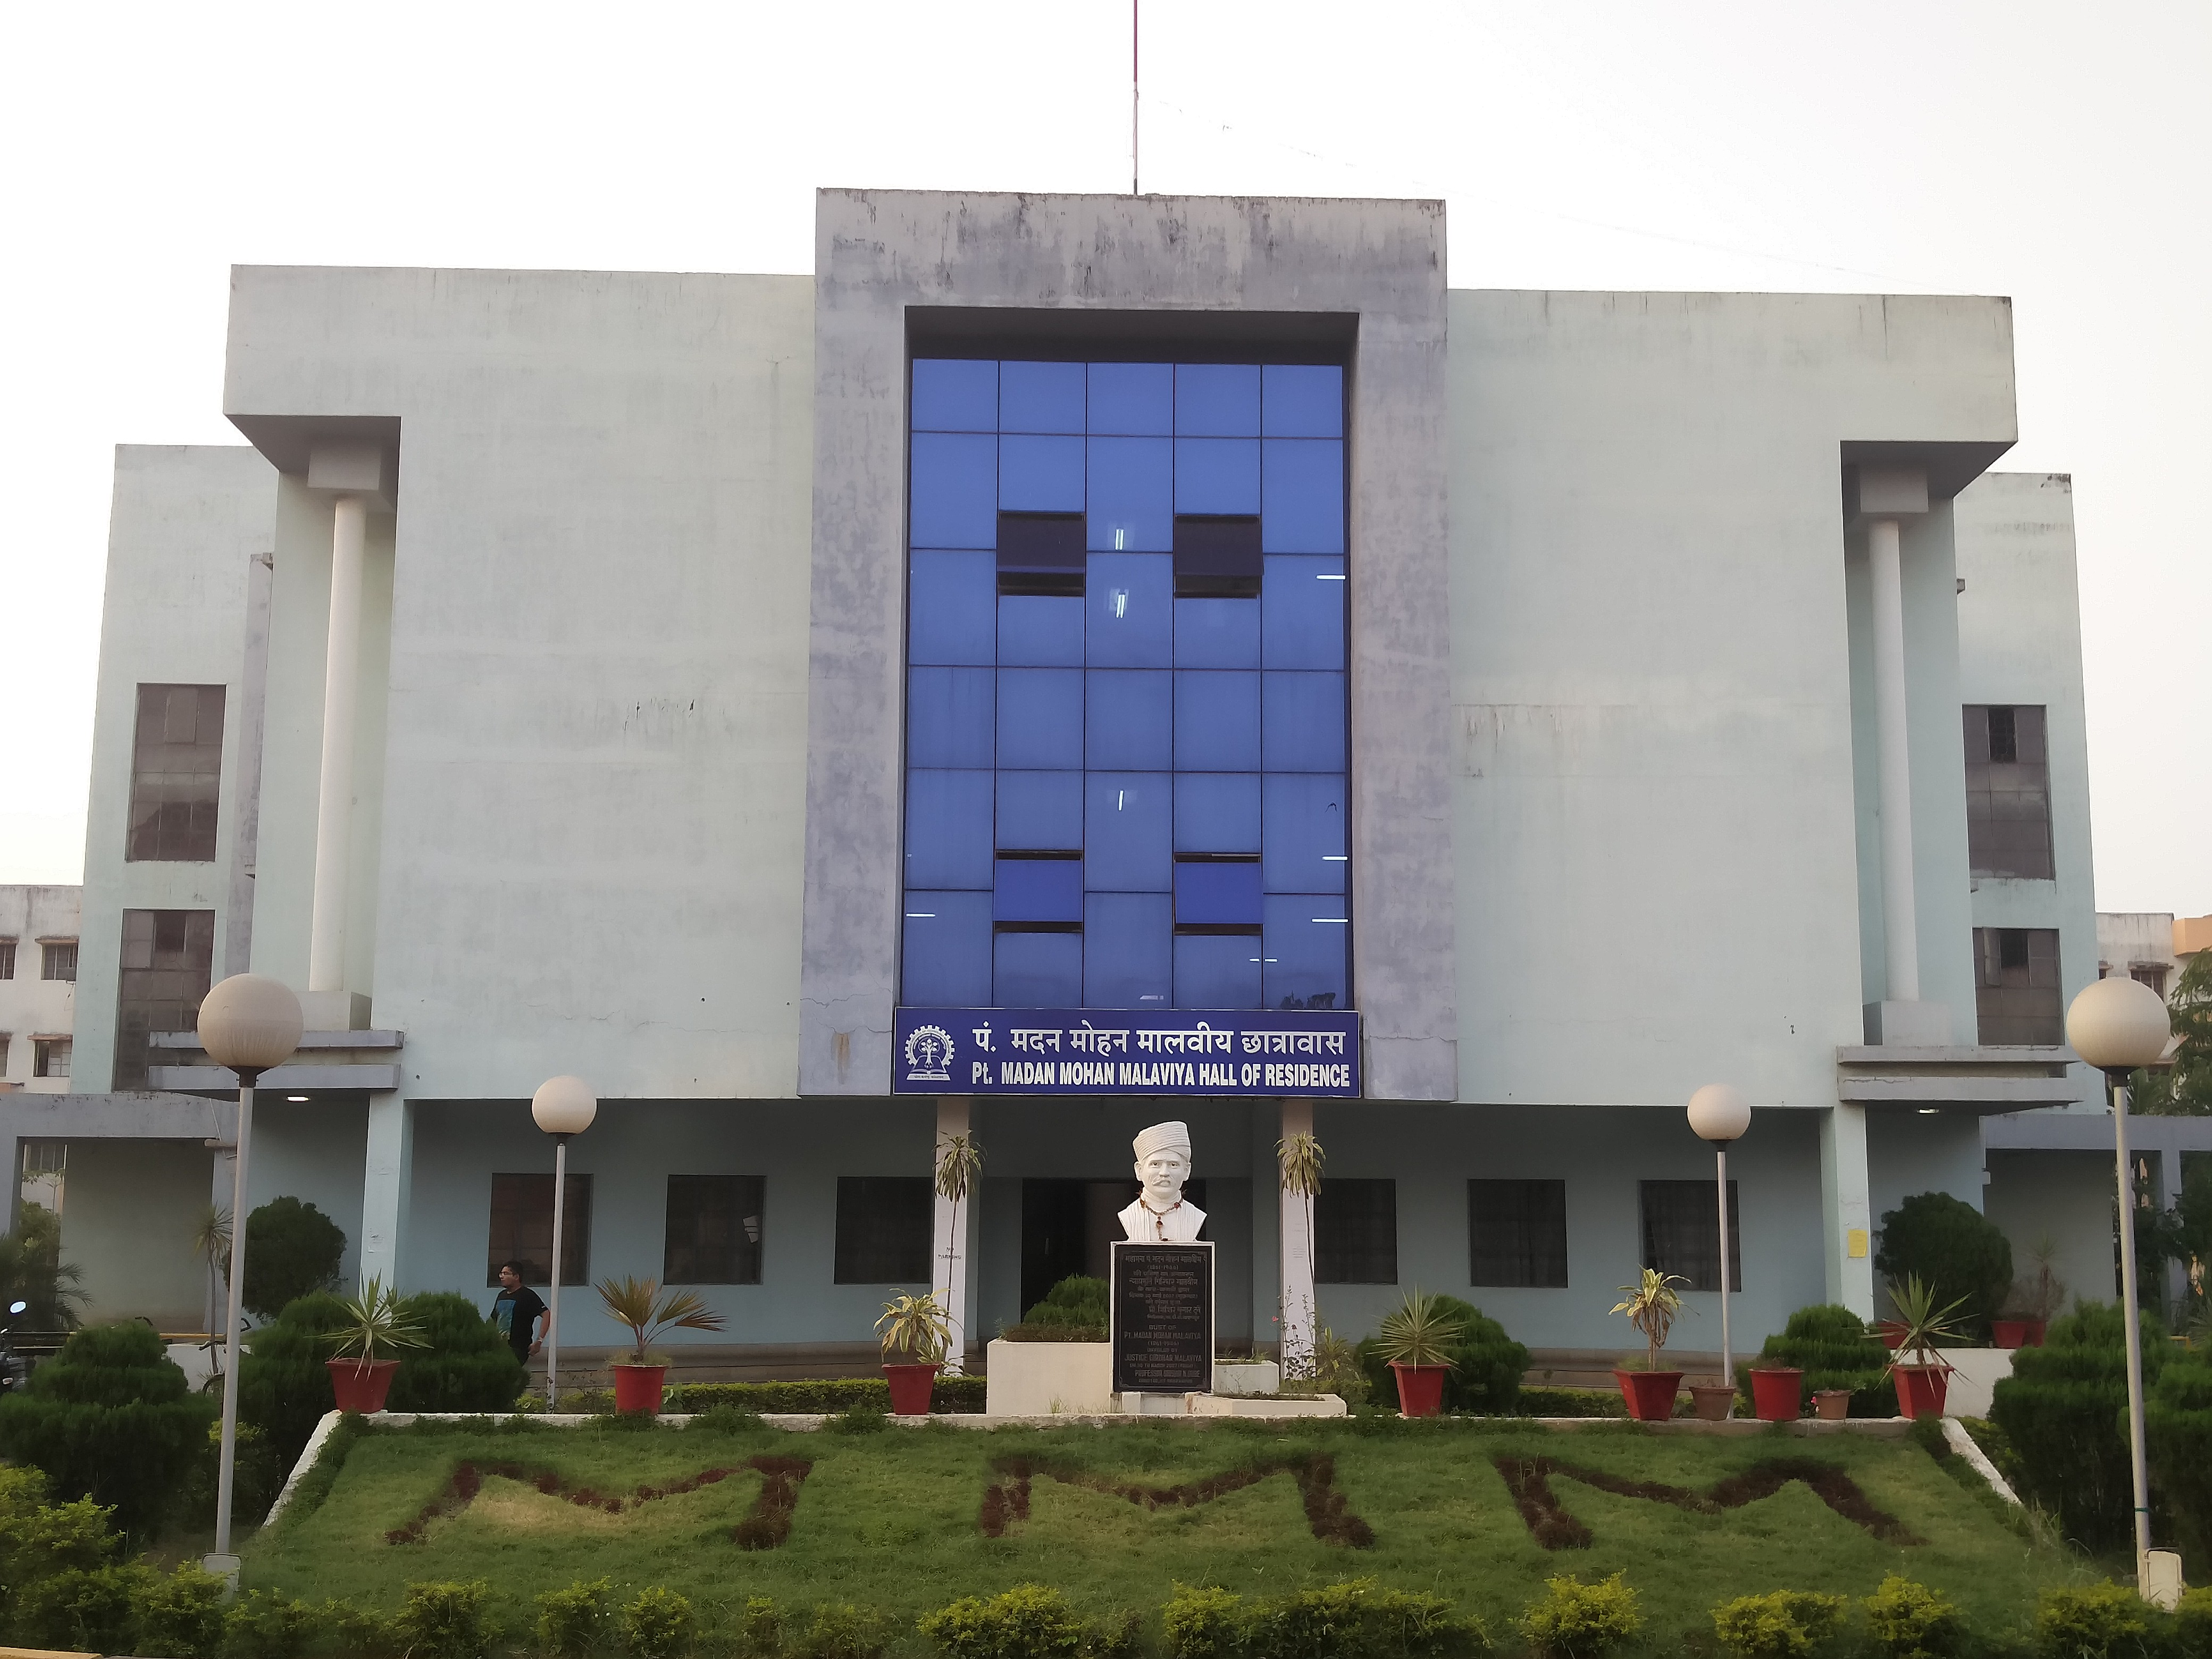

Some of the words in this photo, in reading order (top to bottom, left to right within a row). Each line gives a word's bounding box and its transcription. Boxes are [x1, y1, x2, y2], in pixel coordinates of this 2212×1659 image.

[970, 1018, 1000, 1055] पं.
[1009, 1027, 1064, 1059] मदन
[1068, 1016, 1132, 1059] मोहन
[1135, 1017, 1236, 1057] मालवीय
[1239, 1029, 1347, 1057] छात्रावास
[969, 1059, 995, 1086] Pt.
[999, 1060, 1057, 1087] MADAN
[1058, 1060, 1116, 1086] MOHAN
[1117, 1061, 1197, 1087] MALAVIYA
[1199, 1061, 1239, 1088] HALL
[1241, 1061, 1263, 1090] OF
[1262, 1062, 1351, 1090] RESIDENCE
[1124, 1252, 1146, 1266] महामया
[1130, 1265, 1143, 1278] की
[1150, 1254, 1167, 1265] गदन
[1175, 1273, 1201, 1287] मालवीय
[1130, 1330, 1154, 1340] MADAM
[1171, 1330, 1202, 1340] MALAVIYA
[1121, 1351, 1149, 1363] JUSTICE
[1173, 1353, 1204, 1362] MALAVIYA